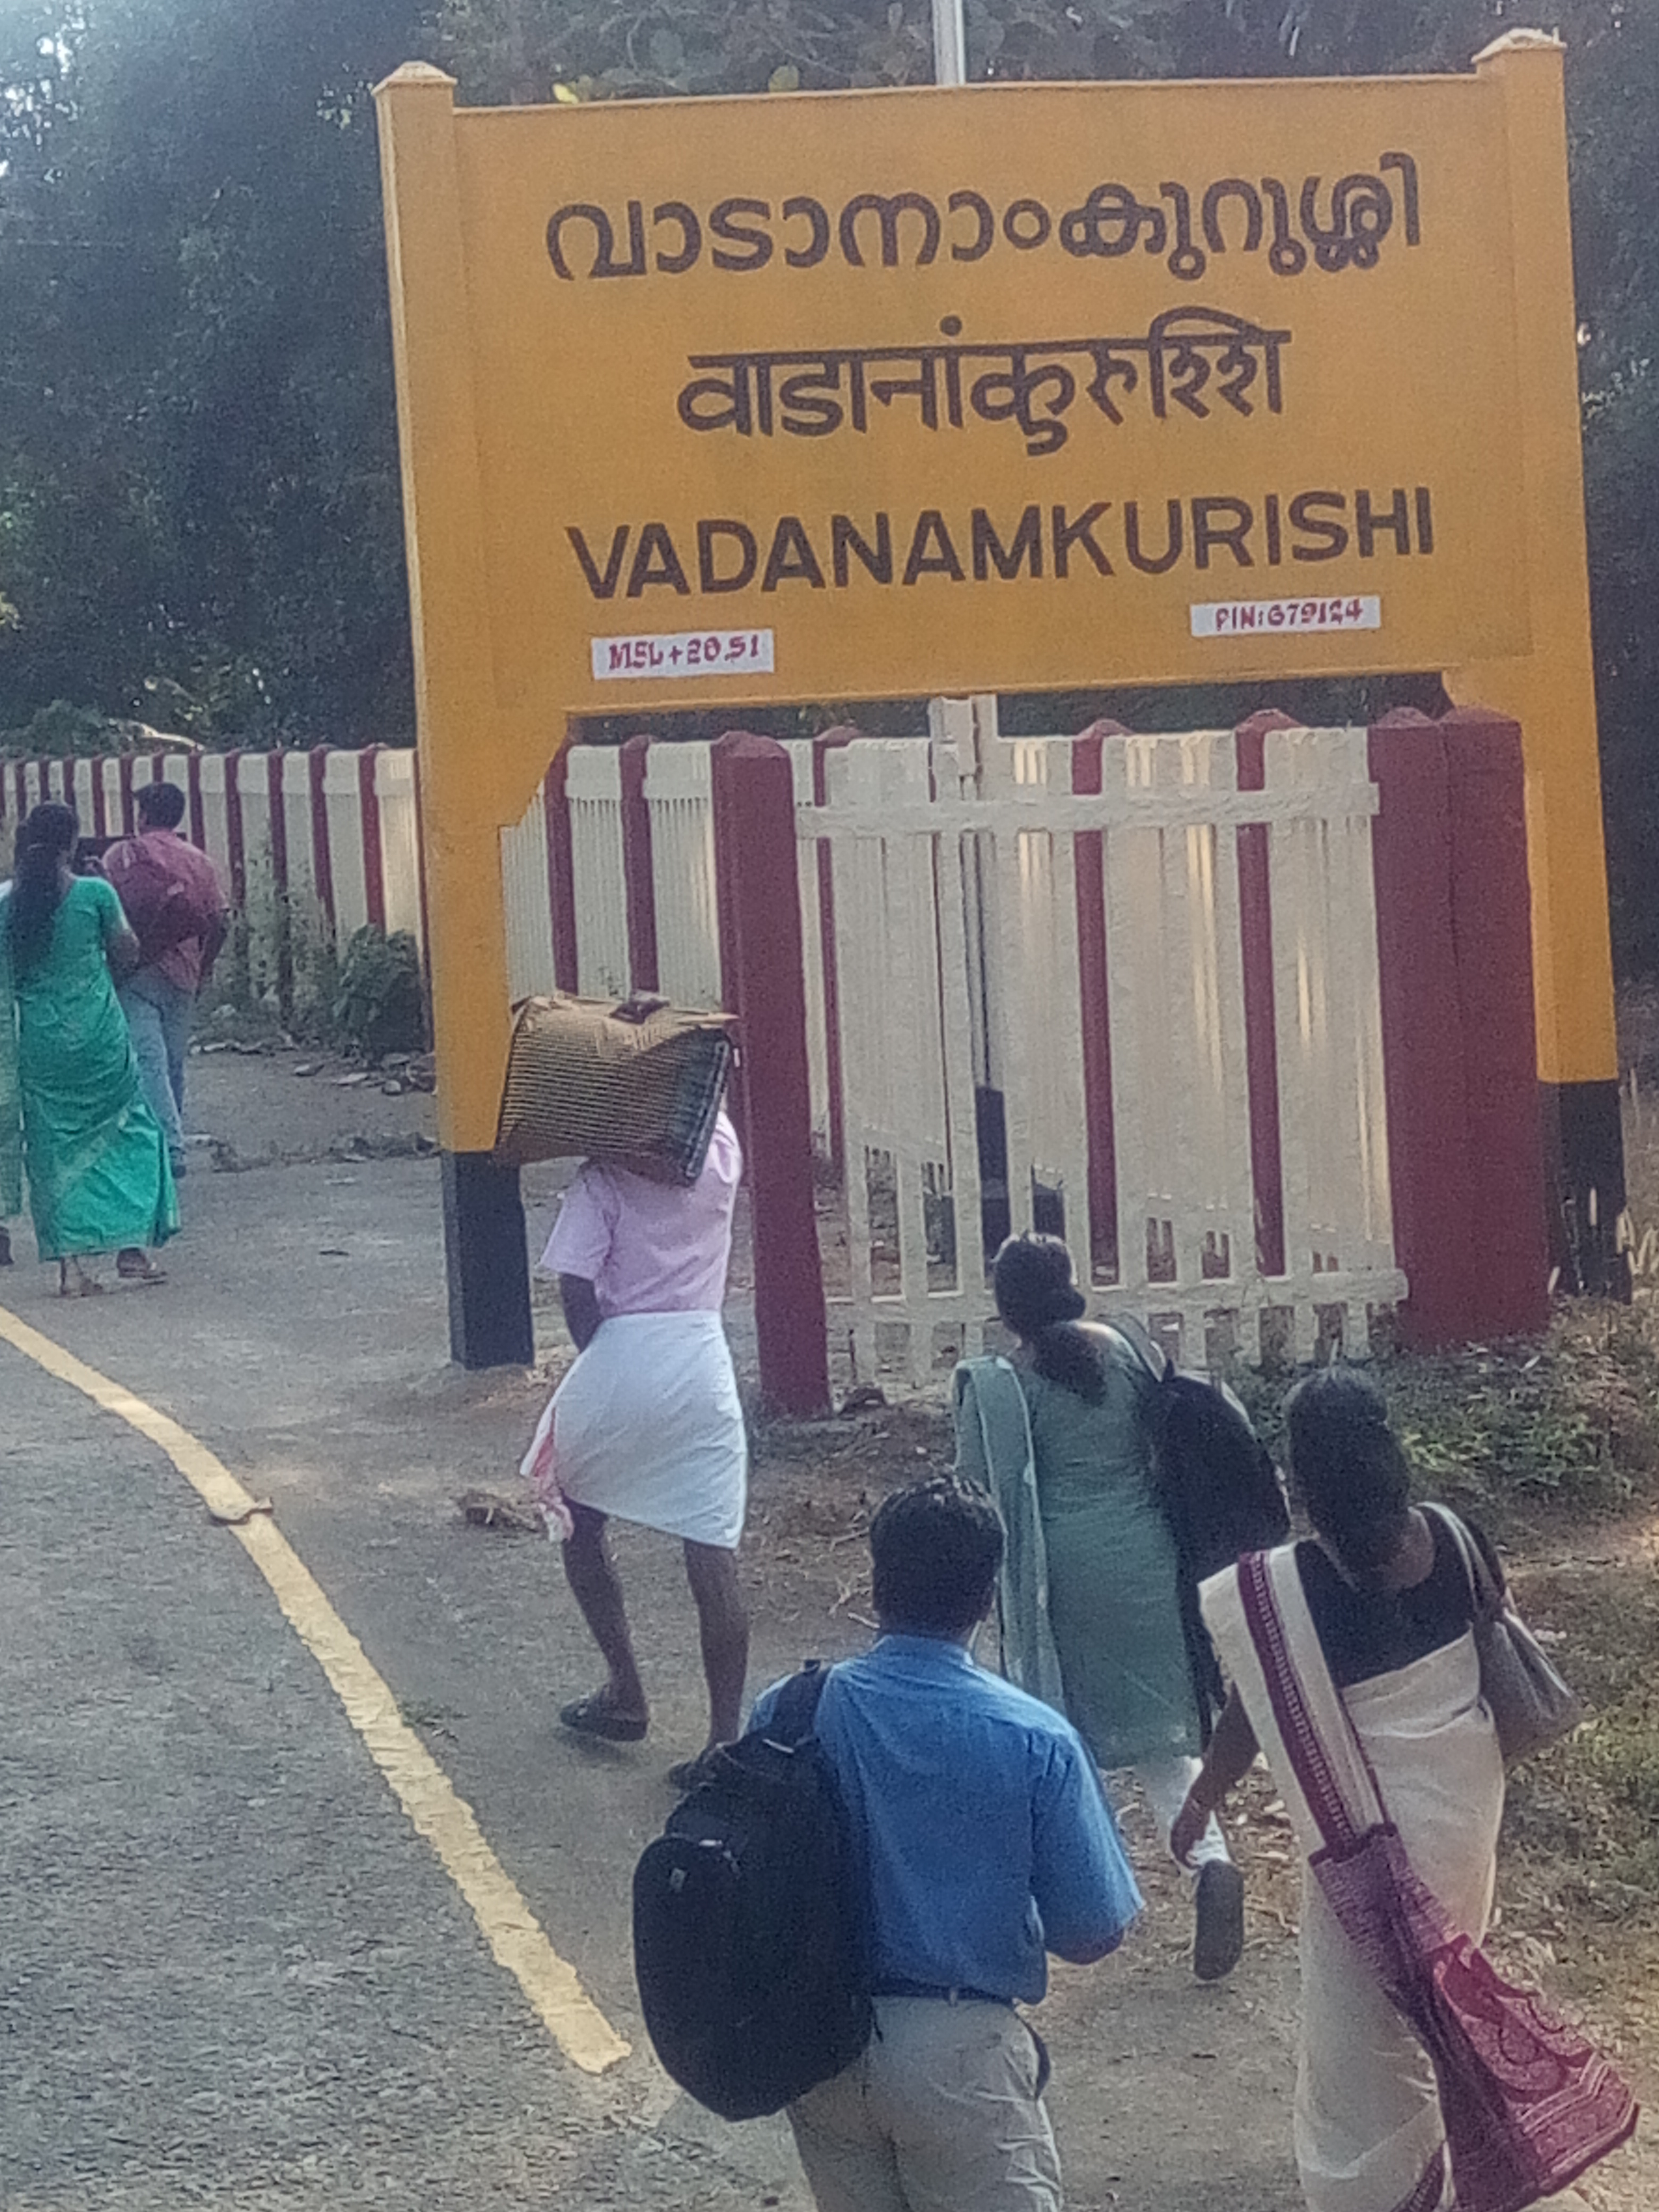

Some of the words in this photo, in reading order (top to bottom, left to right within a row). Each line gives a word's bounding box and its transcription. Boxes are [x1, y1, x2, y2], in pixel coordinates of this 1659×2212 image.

[546, 137, 1423, 286] വാടാനാംകുറുശ്ശി
[669, 295, 1295, 466] वाडानांकुरुश्शि
[559, 479, 1438, 605] VADANAMKURISHI
[606, 630, 764, 676] MSL+20.51
[1205, 593, 1368, 636] PIN:679124